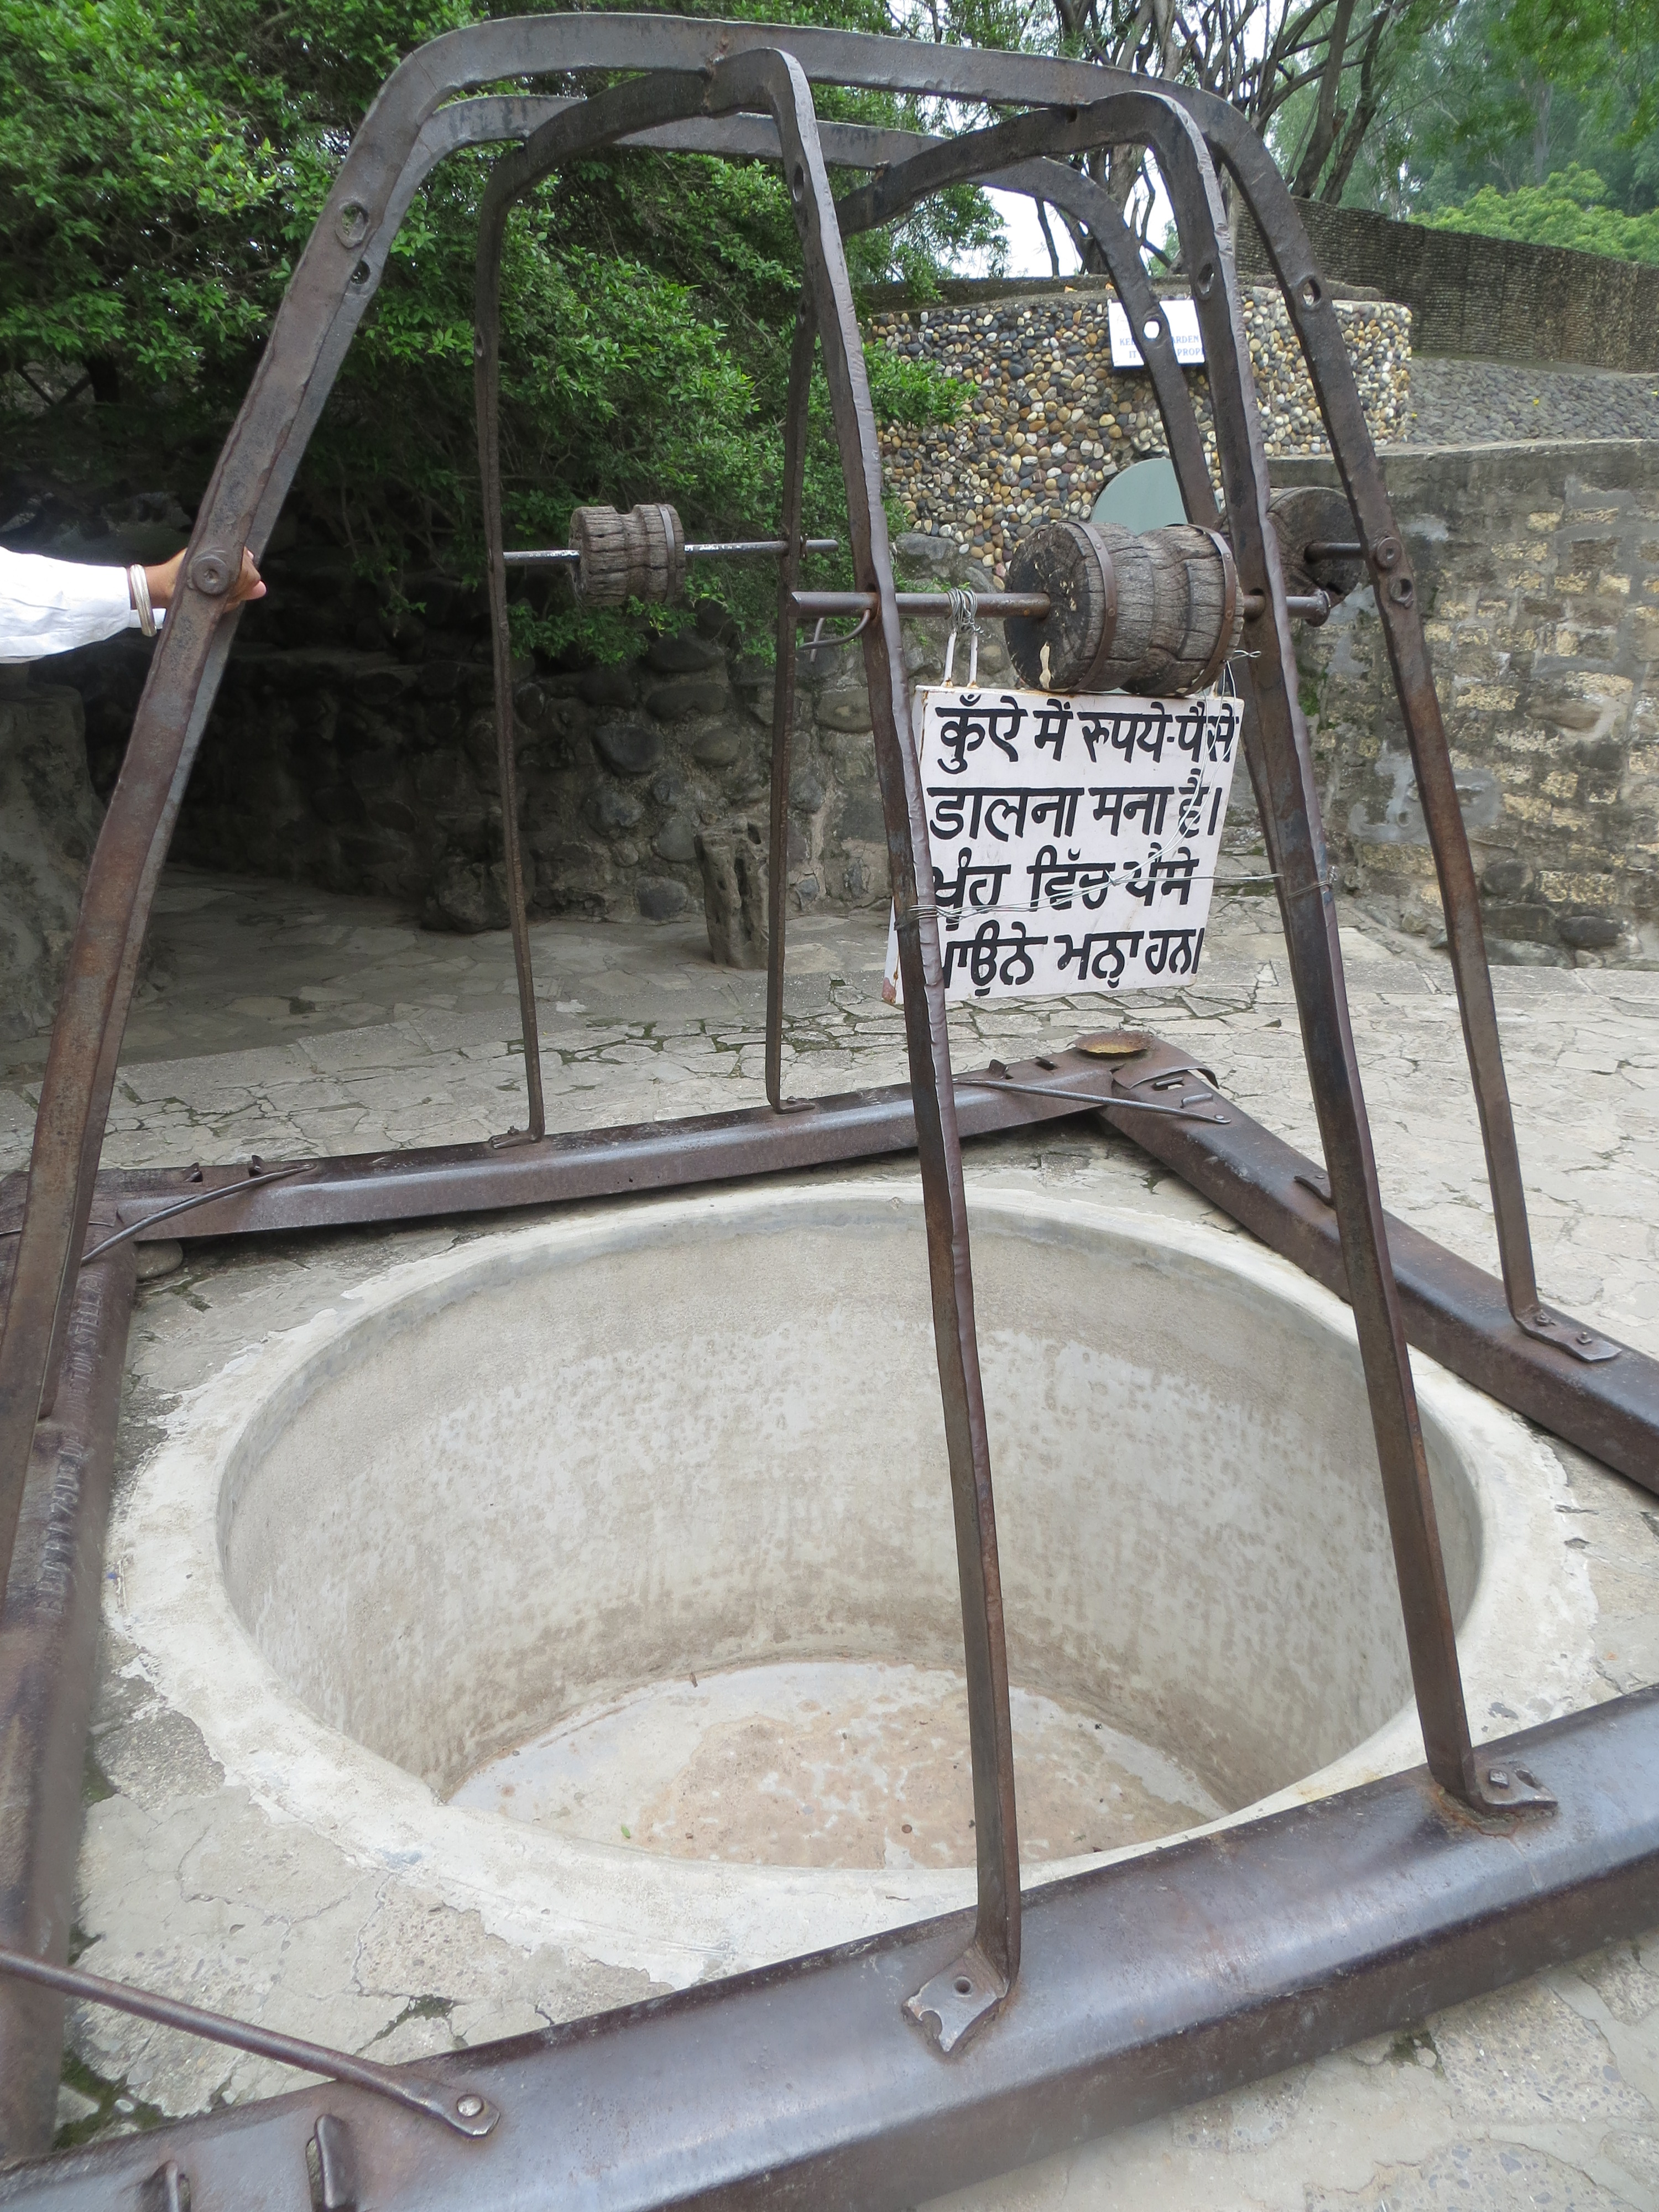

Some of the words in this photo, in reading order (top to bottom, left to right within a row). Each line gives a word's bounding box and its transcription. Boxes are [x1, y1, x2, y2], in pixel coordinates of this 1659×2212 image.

[925, 692, 1031, 779] कुँऐ
[1029, 695, 1076, 765] में
[1072, 697, 1176, 771] रुपये-
[1172, 699, 1245, 768] पैसे
[923, 781, 1088, 848] डालना
[1084, 781, 1176, 843] मना
[1172, 766, 1213, 844] है
[930, 844, 1017, 939] ਖੂੰਹ
[1018, 844, 1121, 919] ਵਿੱਚ
[1119, 839, 1204, 915] ਪੈਸੇ
[940, 915, 1052, 999] ਉਨੇ
[1048, 927, 1147, 990] ਮਨੁਾ
[1141, 927, 1202, 980] ਹਨ